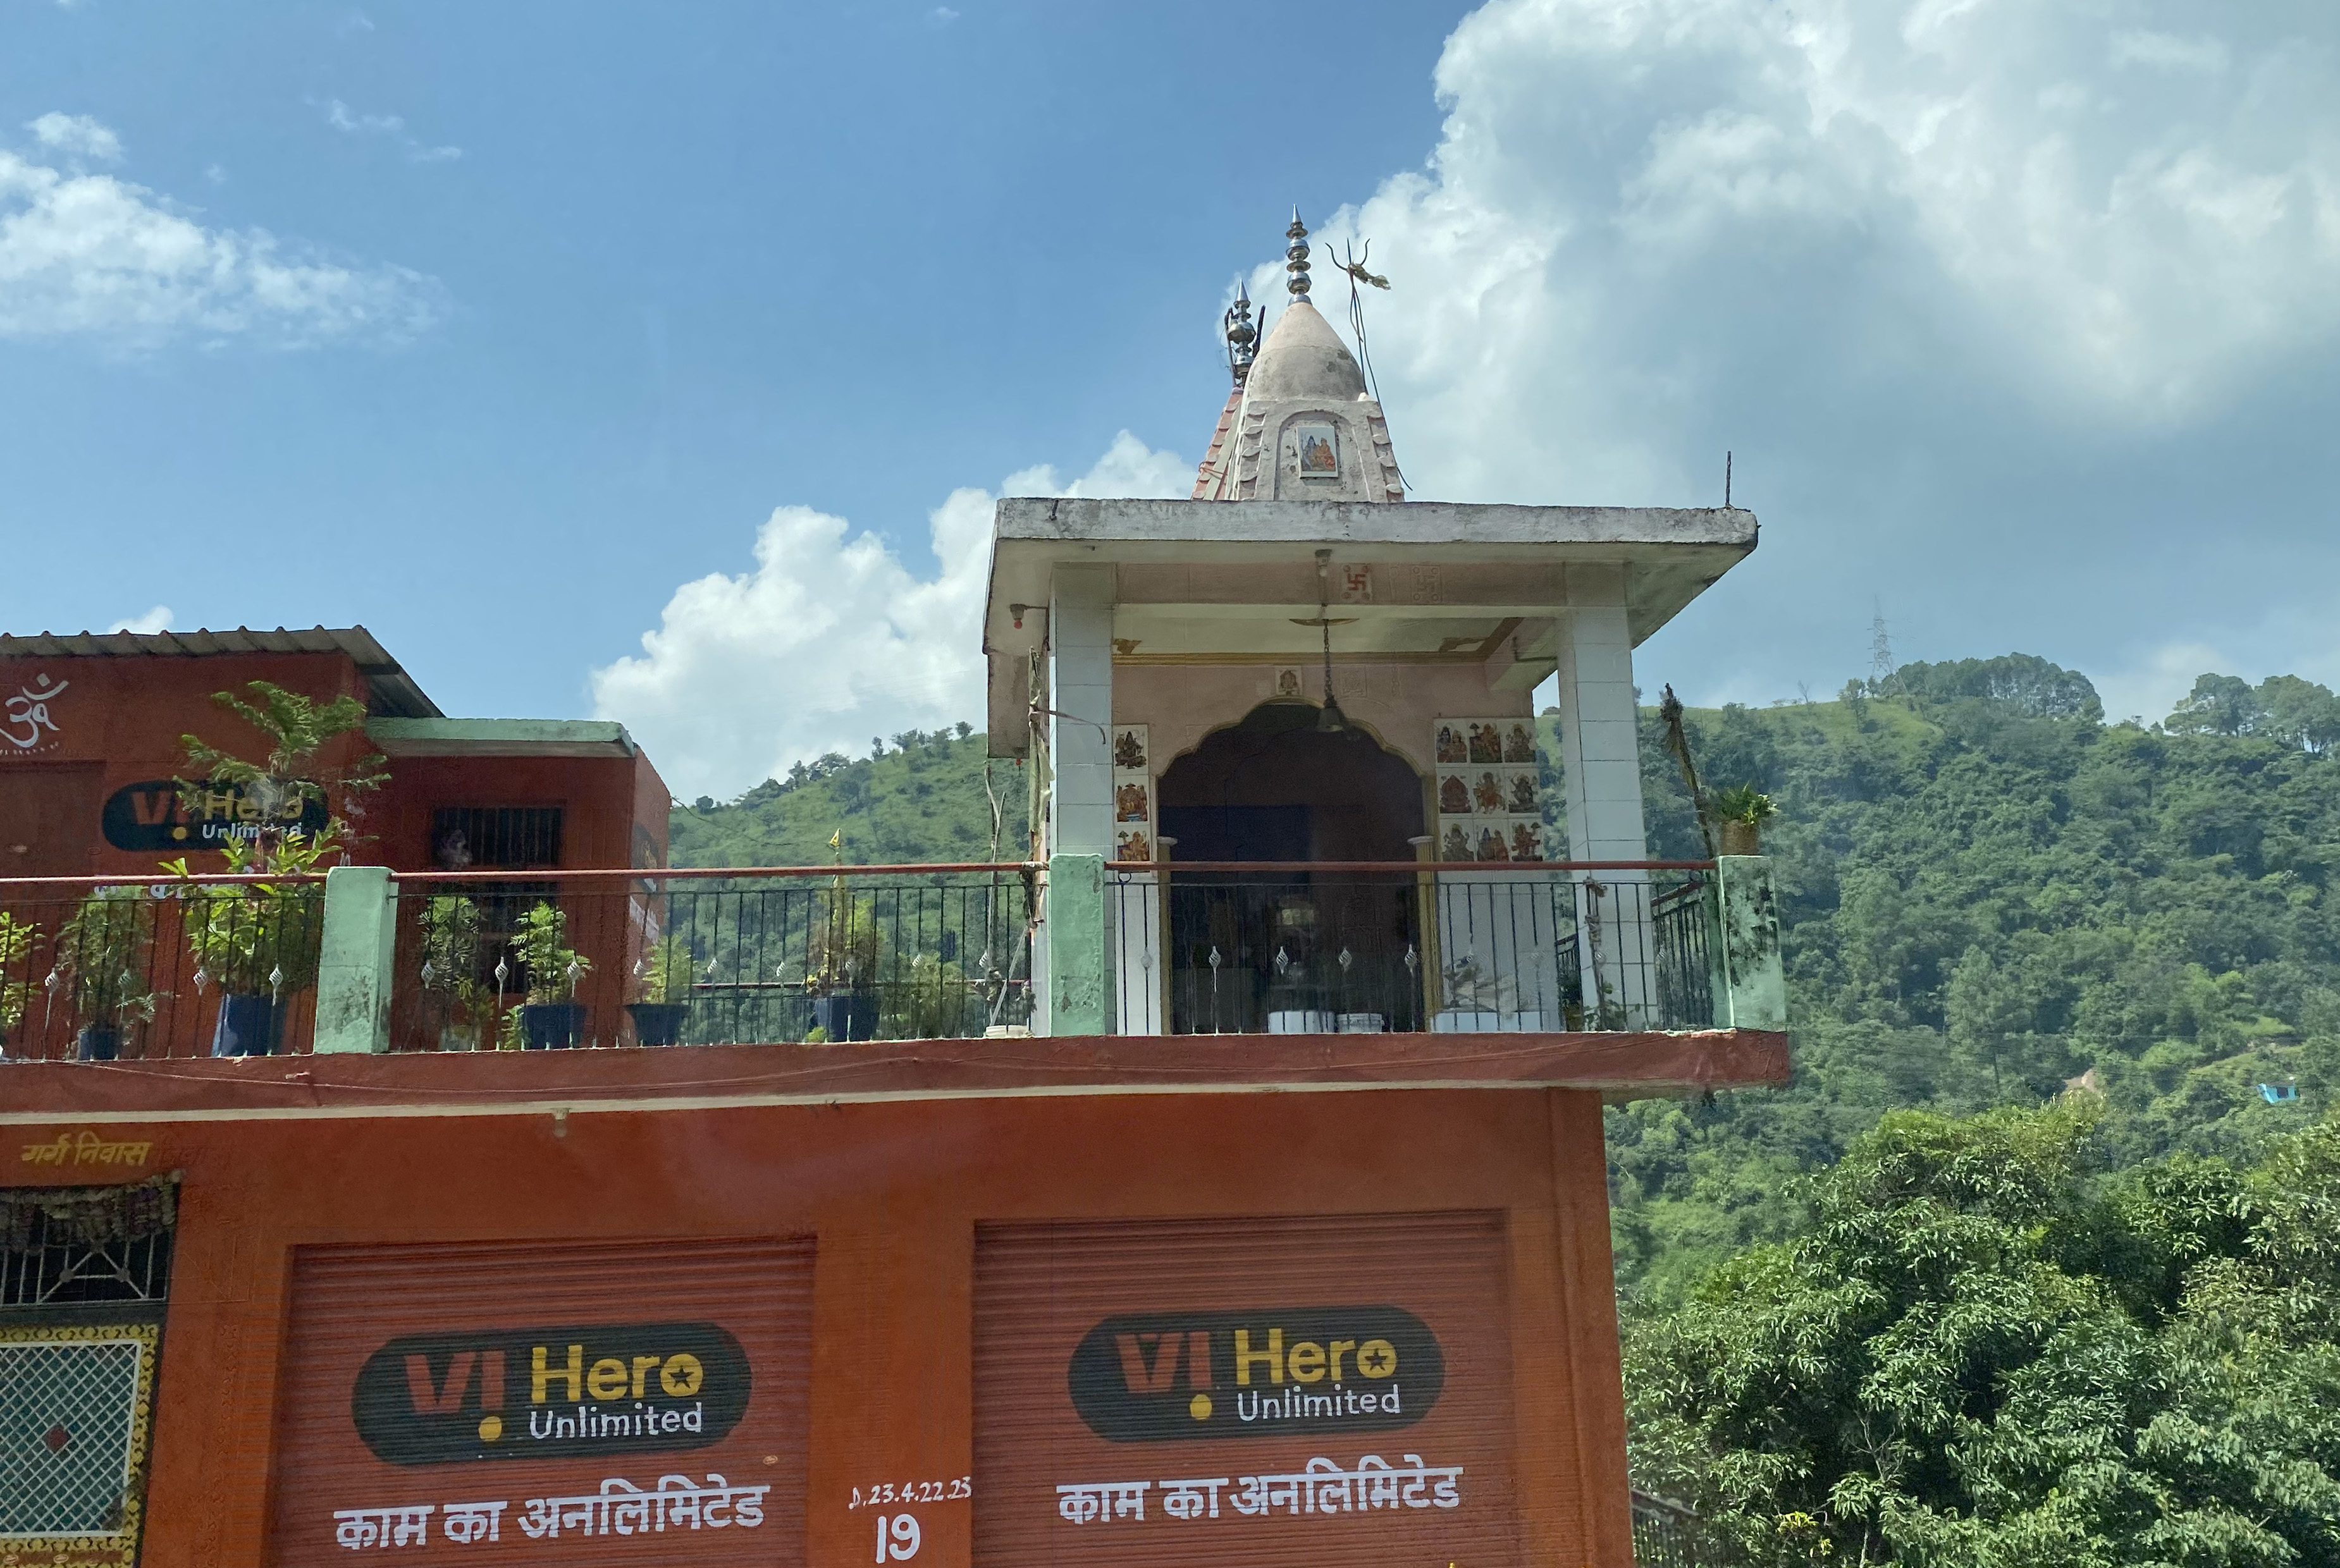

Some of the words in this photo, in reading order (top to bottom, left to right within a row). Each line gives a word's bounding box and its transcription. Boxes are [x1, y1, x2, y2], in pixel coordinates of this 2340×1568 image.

[15, 1124, 78, 1170] गर्ग
[63, 1125, 156, 1173] निवास
[528, 1338, 710, 1406] Hero
[1232, 1326, 1400, 1390] Hero
[520, 1400, 707, 1447] Unlimited
[1233, 1381, 1407, 1423] Unlimited
[329, 1502, 438, 1559] काम
[438, 1497, 512, 1550] का
[515, 1473, 775, 1545] अनलिमिटेड
[866, 1509, 925, 1566] 19
[844, 1474, 975, 1510] D.23.4.22.23
[1053, 1477, 1155, 1529] काम
[1154, 1474, 1233, 1525] का
[1224, 1449, 1465, 1523] अनलिमिटेड